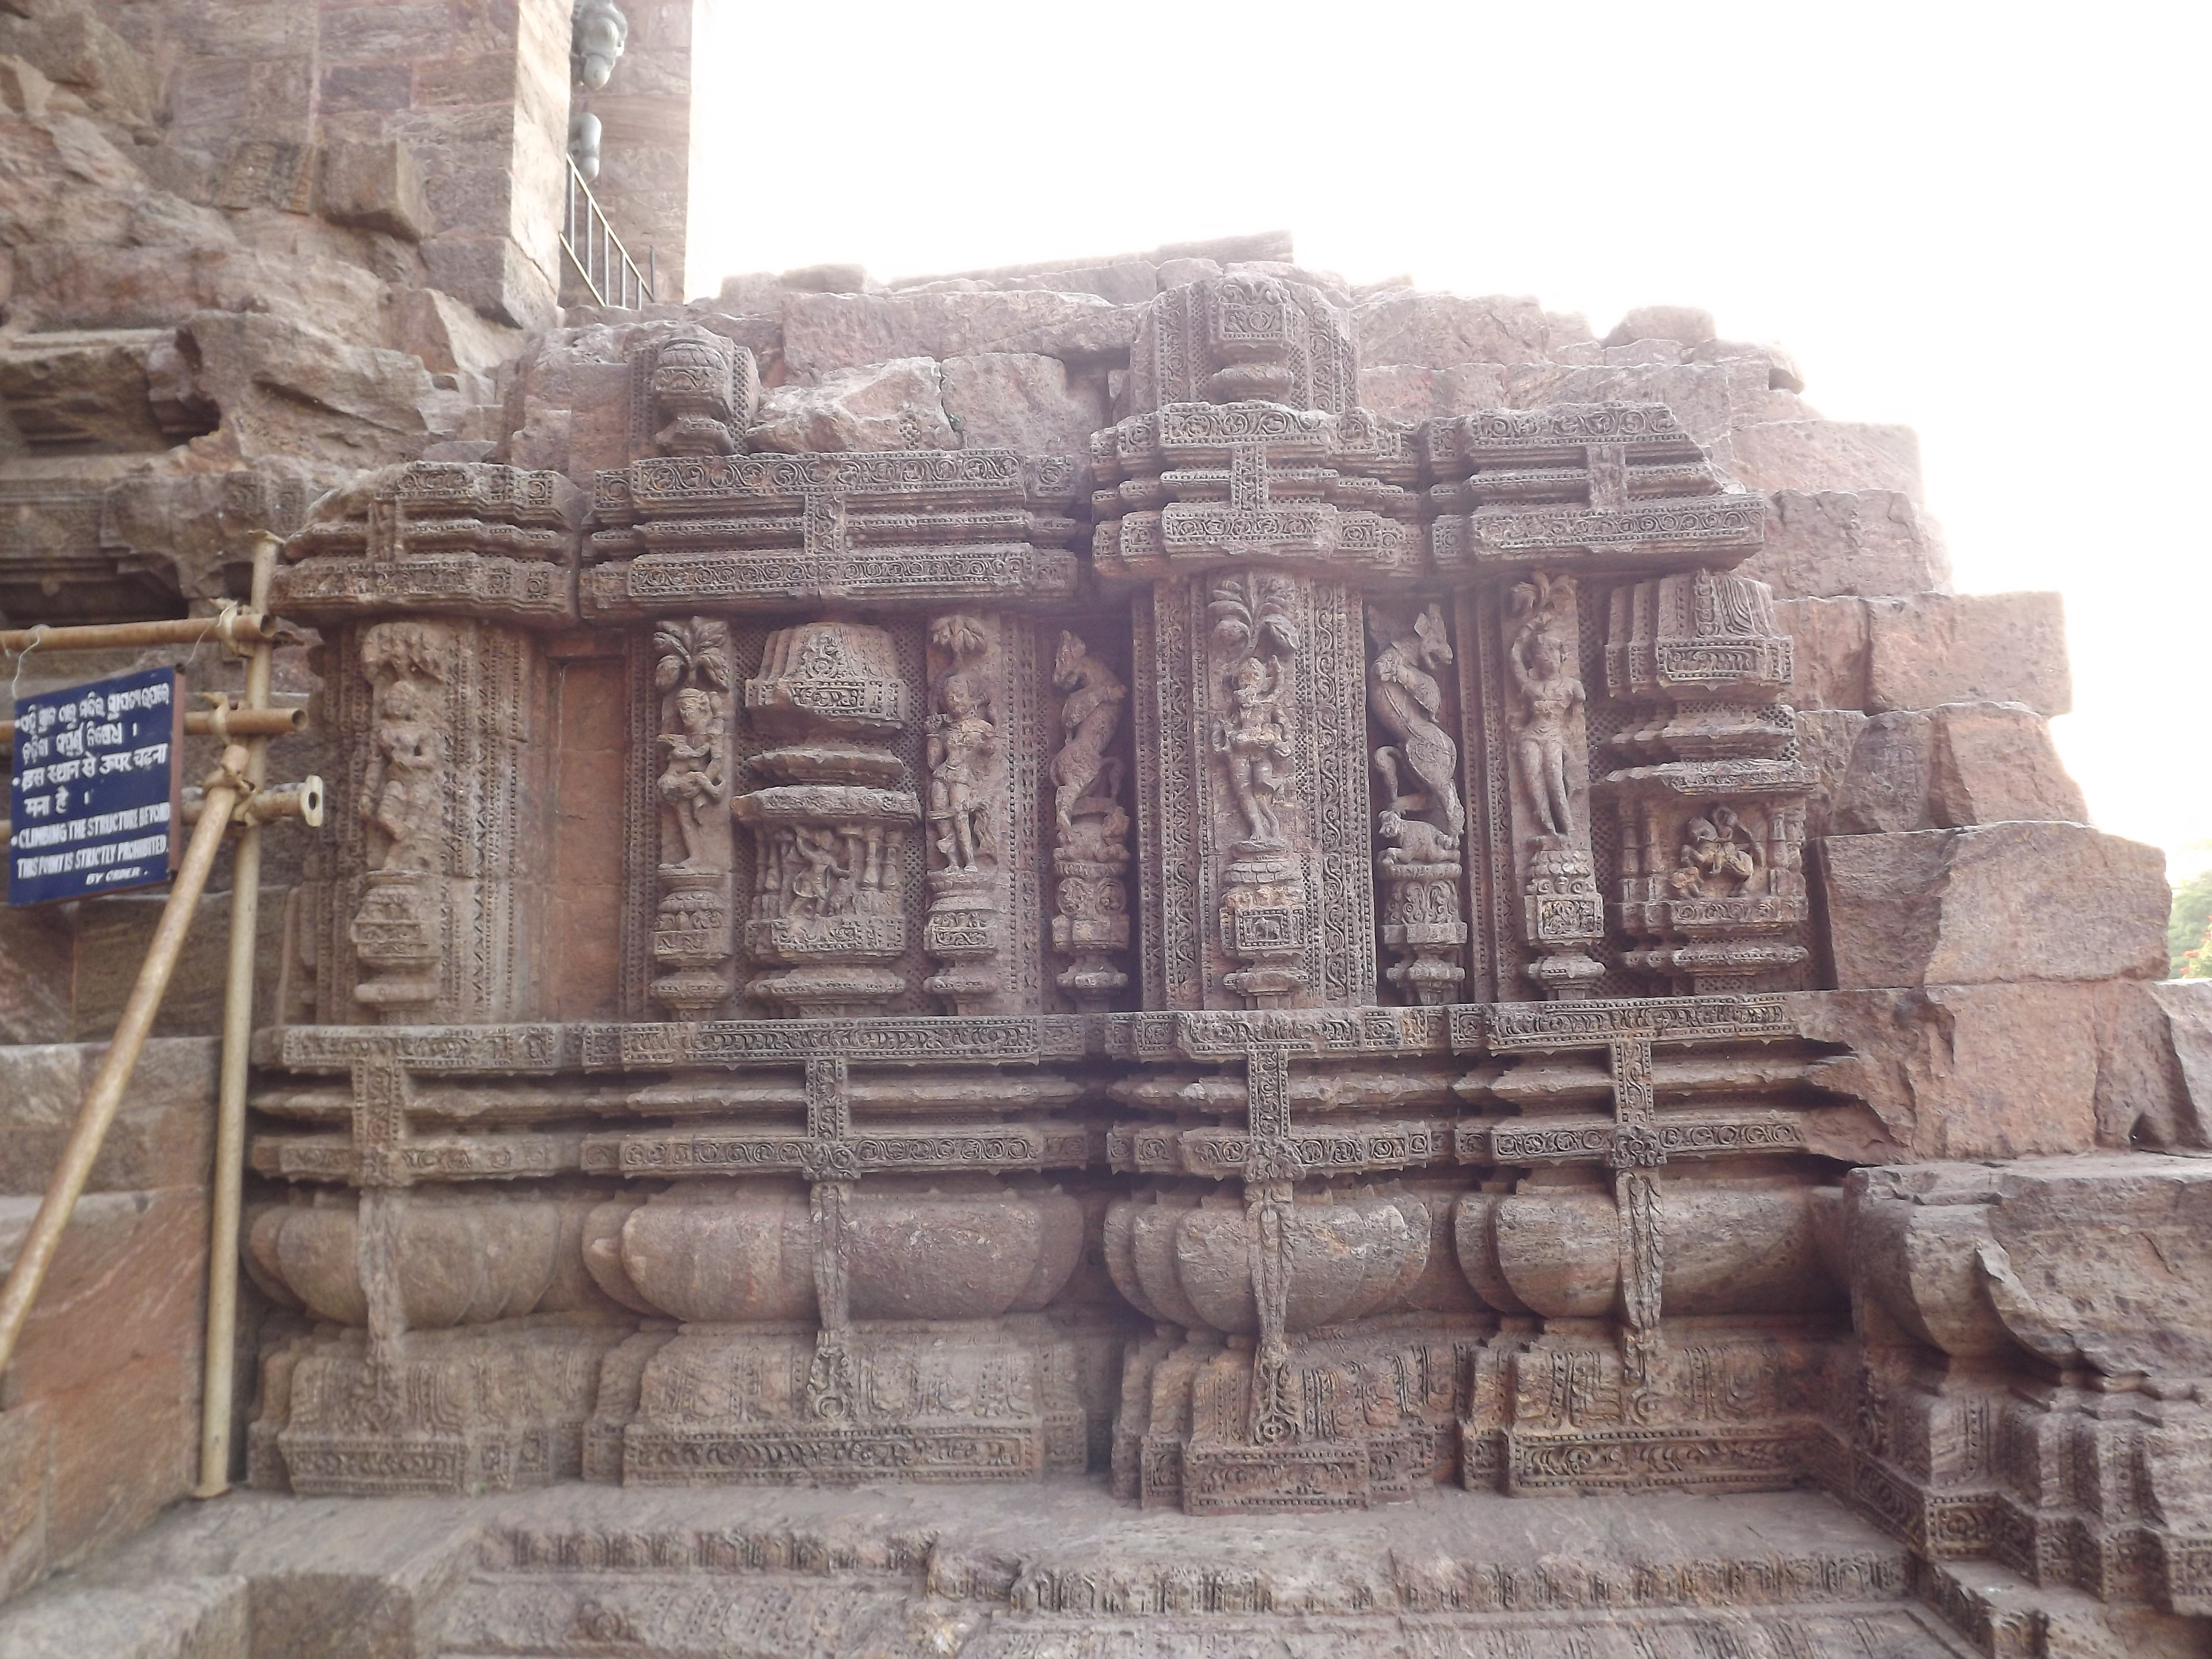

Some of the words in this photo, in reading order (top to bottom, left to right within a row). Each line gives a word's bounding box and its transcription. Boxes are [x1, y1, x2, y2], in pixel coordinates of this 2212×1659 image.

[51, 686, 110, 732] ଠାଇ ମନ୍ଦିର
[19, 763, 47, 795] इस
[18, 730, 54, 770] ଚ଼ଡ଼ିଶ
[43, 755, 82, 787] स्थान
[76, 747, 99, 781] से
[98, 746, 138, 777] ऊपर
[126, 740, 171, 771] चढ़ना
[18, 789, 53, 823] मना
[14, 820, 70, 852] CLIMBING
[49, 780, 73, 819] है
[59, 813, 89, 843] THE
[81, 804, 144, 840] STRUCTURE